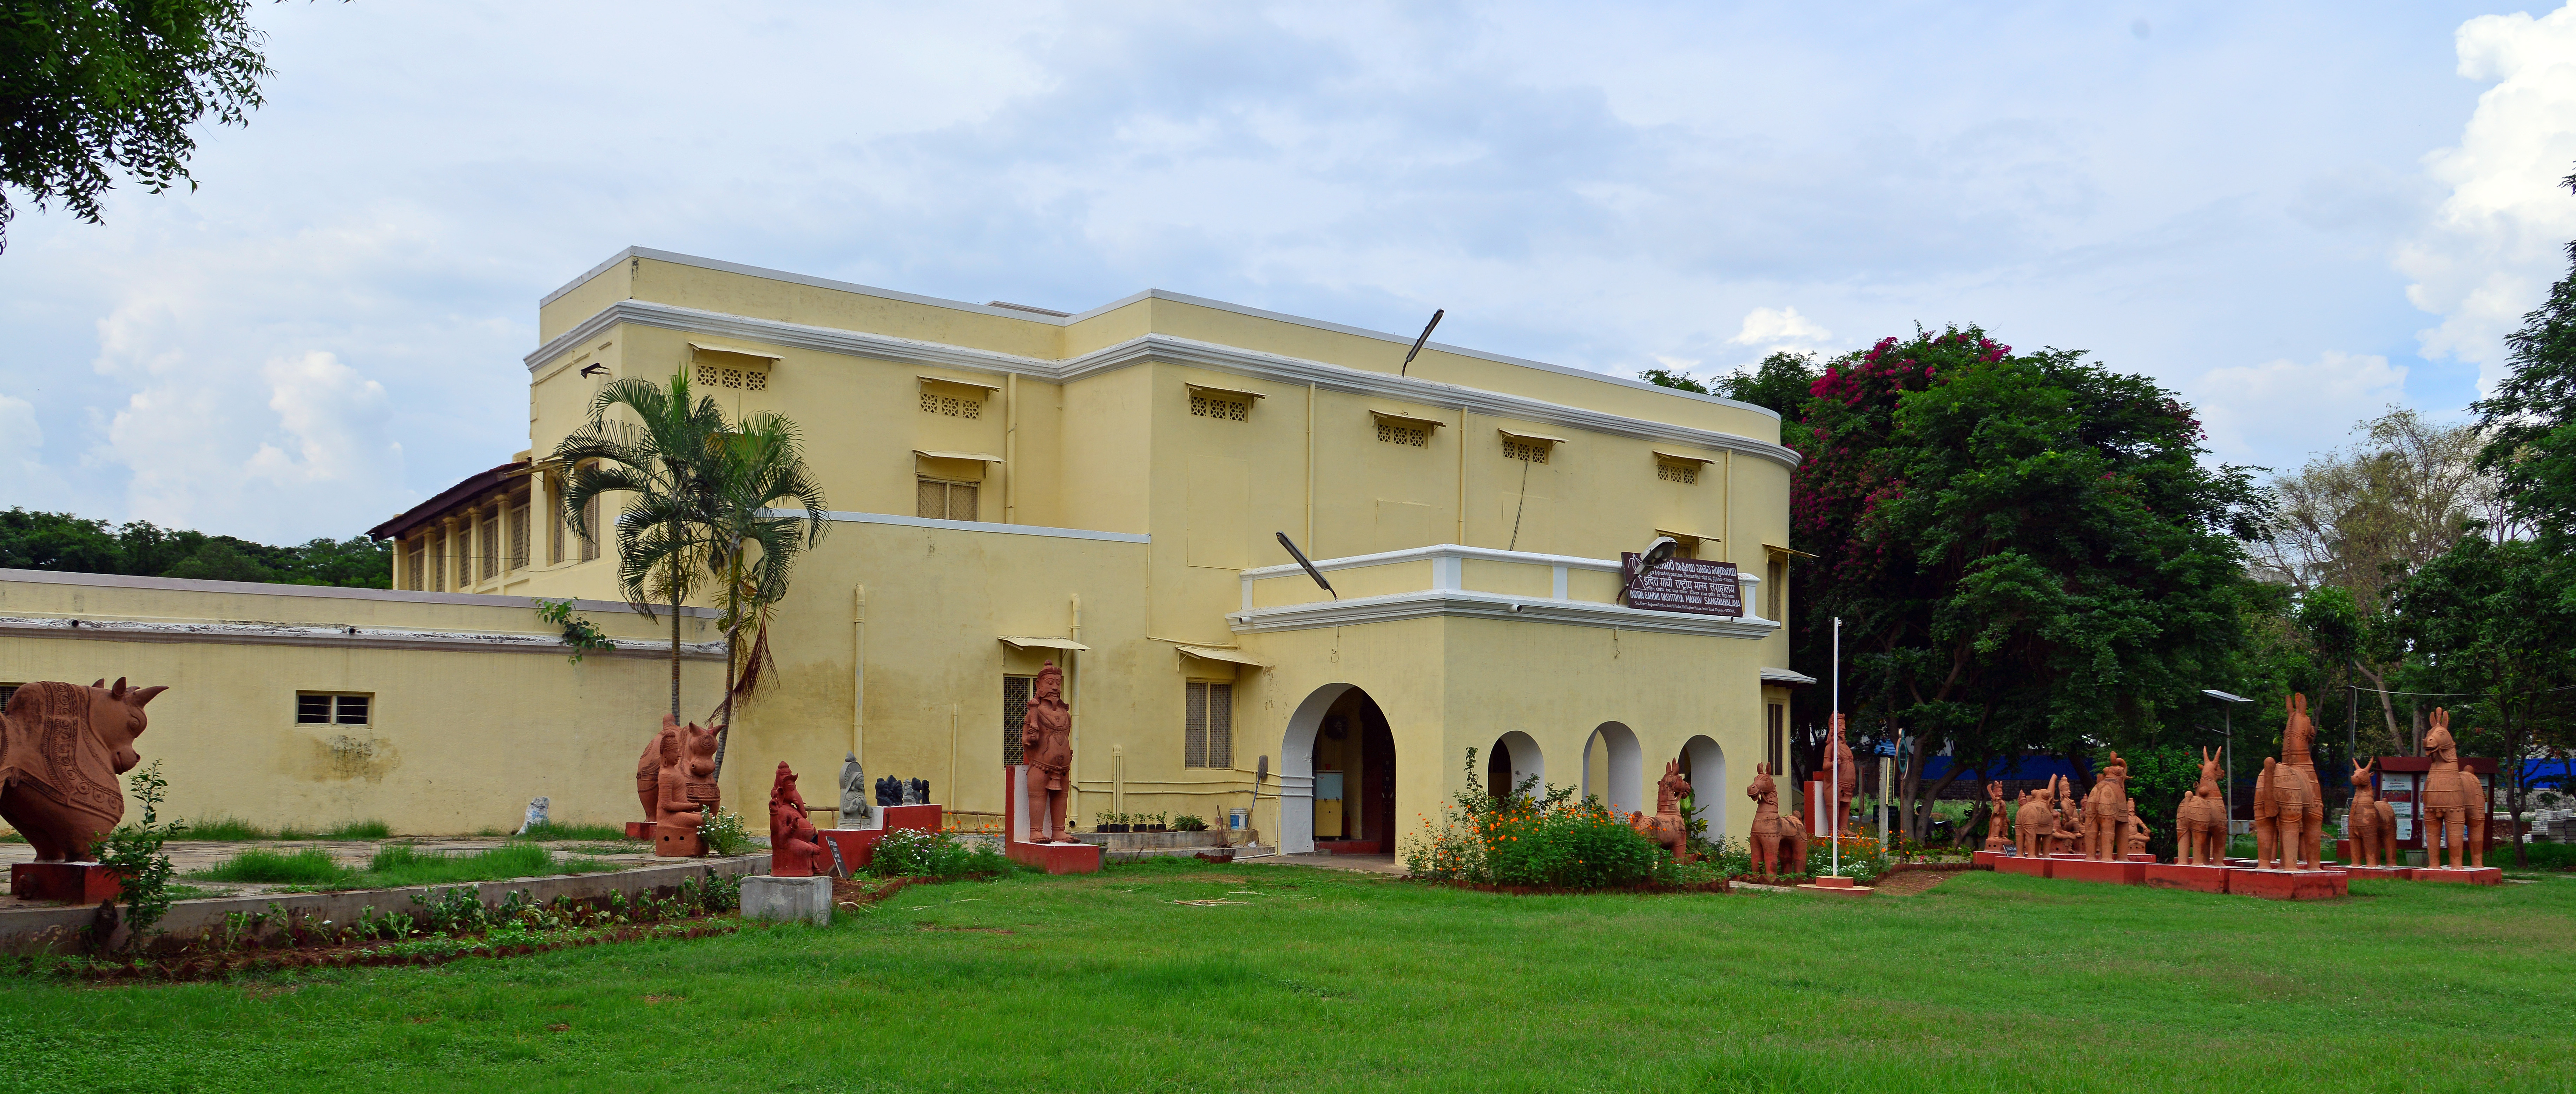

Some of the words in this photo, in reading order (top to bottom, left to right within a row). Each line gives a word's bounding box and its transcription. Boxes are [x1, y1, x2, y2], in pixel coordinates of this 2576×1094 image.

[1673, 560, 1697, 575] ರಾಫೀಯ
[1693, 563, 1738, 578] ಮಾನವ ಸಂಗ್ರಹಾಲಯ
[1628, 589, 1645, 601] INDIRA
[1634, 598, 1649, 607] Southern
[1644, 583, 1656, 593] दक्षिण
[1641, 572, 1660, 589] इन्दिरा
[1642, 588, 1662, 603] GANDHI
[1646, 600, 1660, 608] Regional
[1655, 585, 1667, 594] क्षेत्रीय
[1658, 600, 1668, 609] Centre,
[1658, 574, 1674, 589] गांधी
[1664, 586, 1672, 594] केन्द्र
[1665, 602, 1674, 610] Govt
[1659, 591, 1686, 604] RASHTRIYA
[1670, 603, 1676, 609] of
[1670, 588, 1680, 594] भारत
[1678, 588, 1689, 596] सरकार
[1673, 576, 1695, 592] राष्ट्रीय
[1683, 594, 1703, 606] MANAV
[1688, 587, 1701, 597] वेलिंगटन
[1693, 605, 1703, 612] House
[1691, 579, 1709, 593] मानव
[1698, 591, 1708, 599] हाउस
[1706, 589, 1717, 600] इरविन
[1706, 606, 1717, 614] Road
[1714, 591, 1722, 598] रोड
[1707, 580, 1737, 596] संग्रहालय
[1702, 594, 1742, 609] SANGRAHALAYA
[1713, 607, 1738, 615] Mysore-570001,
[1719, 591, 1737, 599] मैसूर-570001
[1722, 576, 1735, 584] 570001.